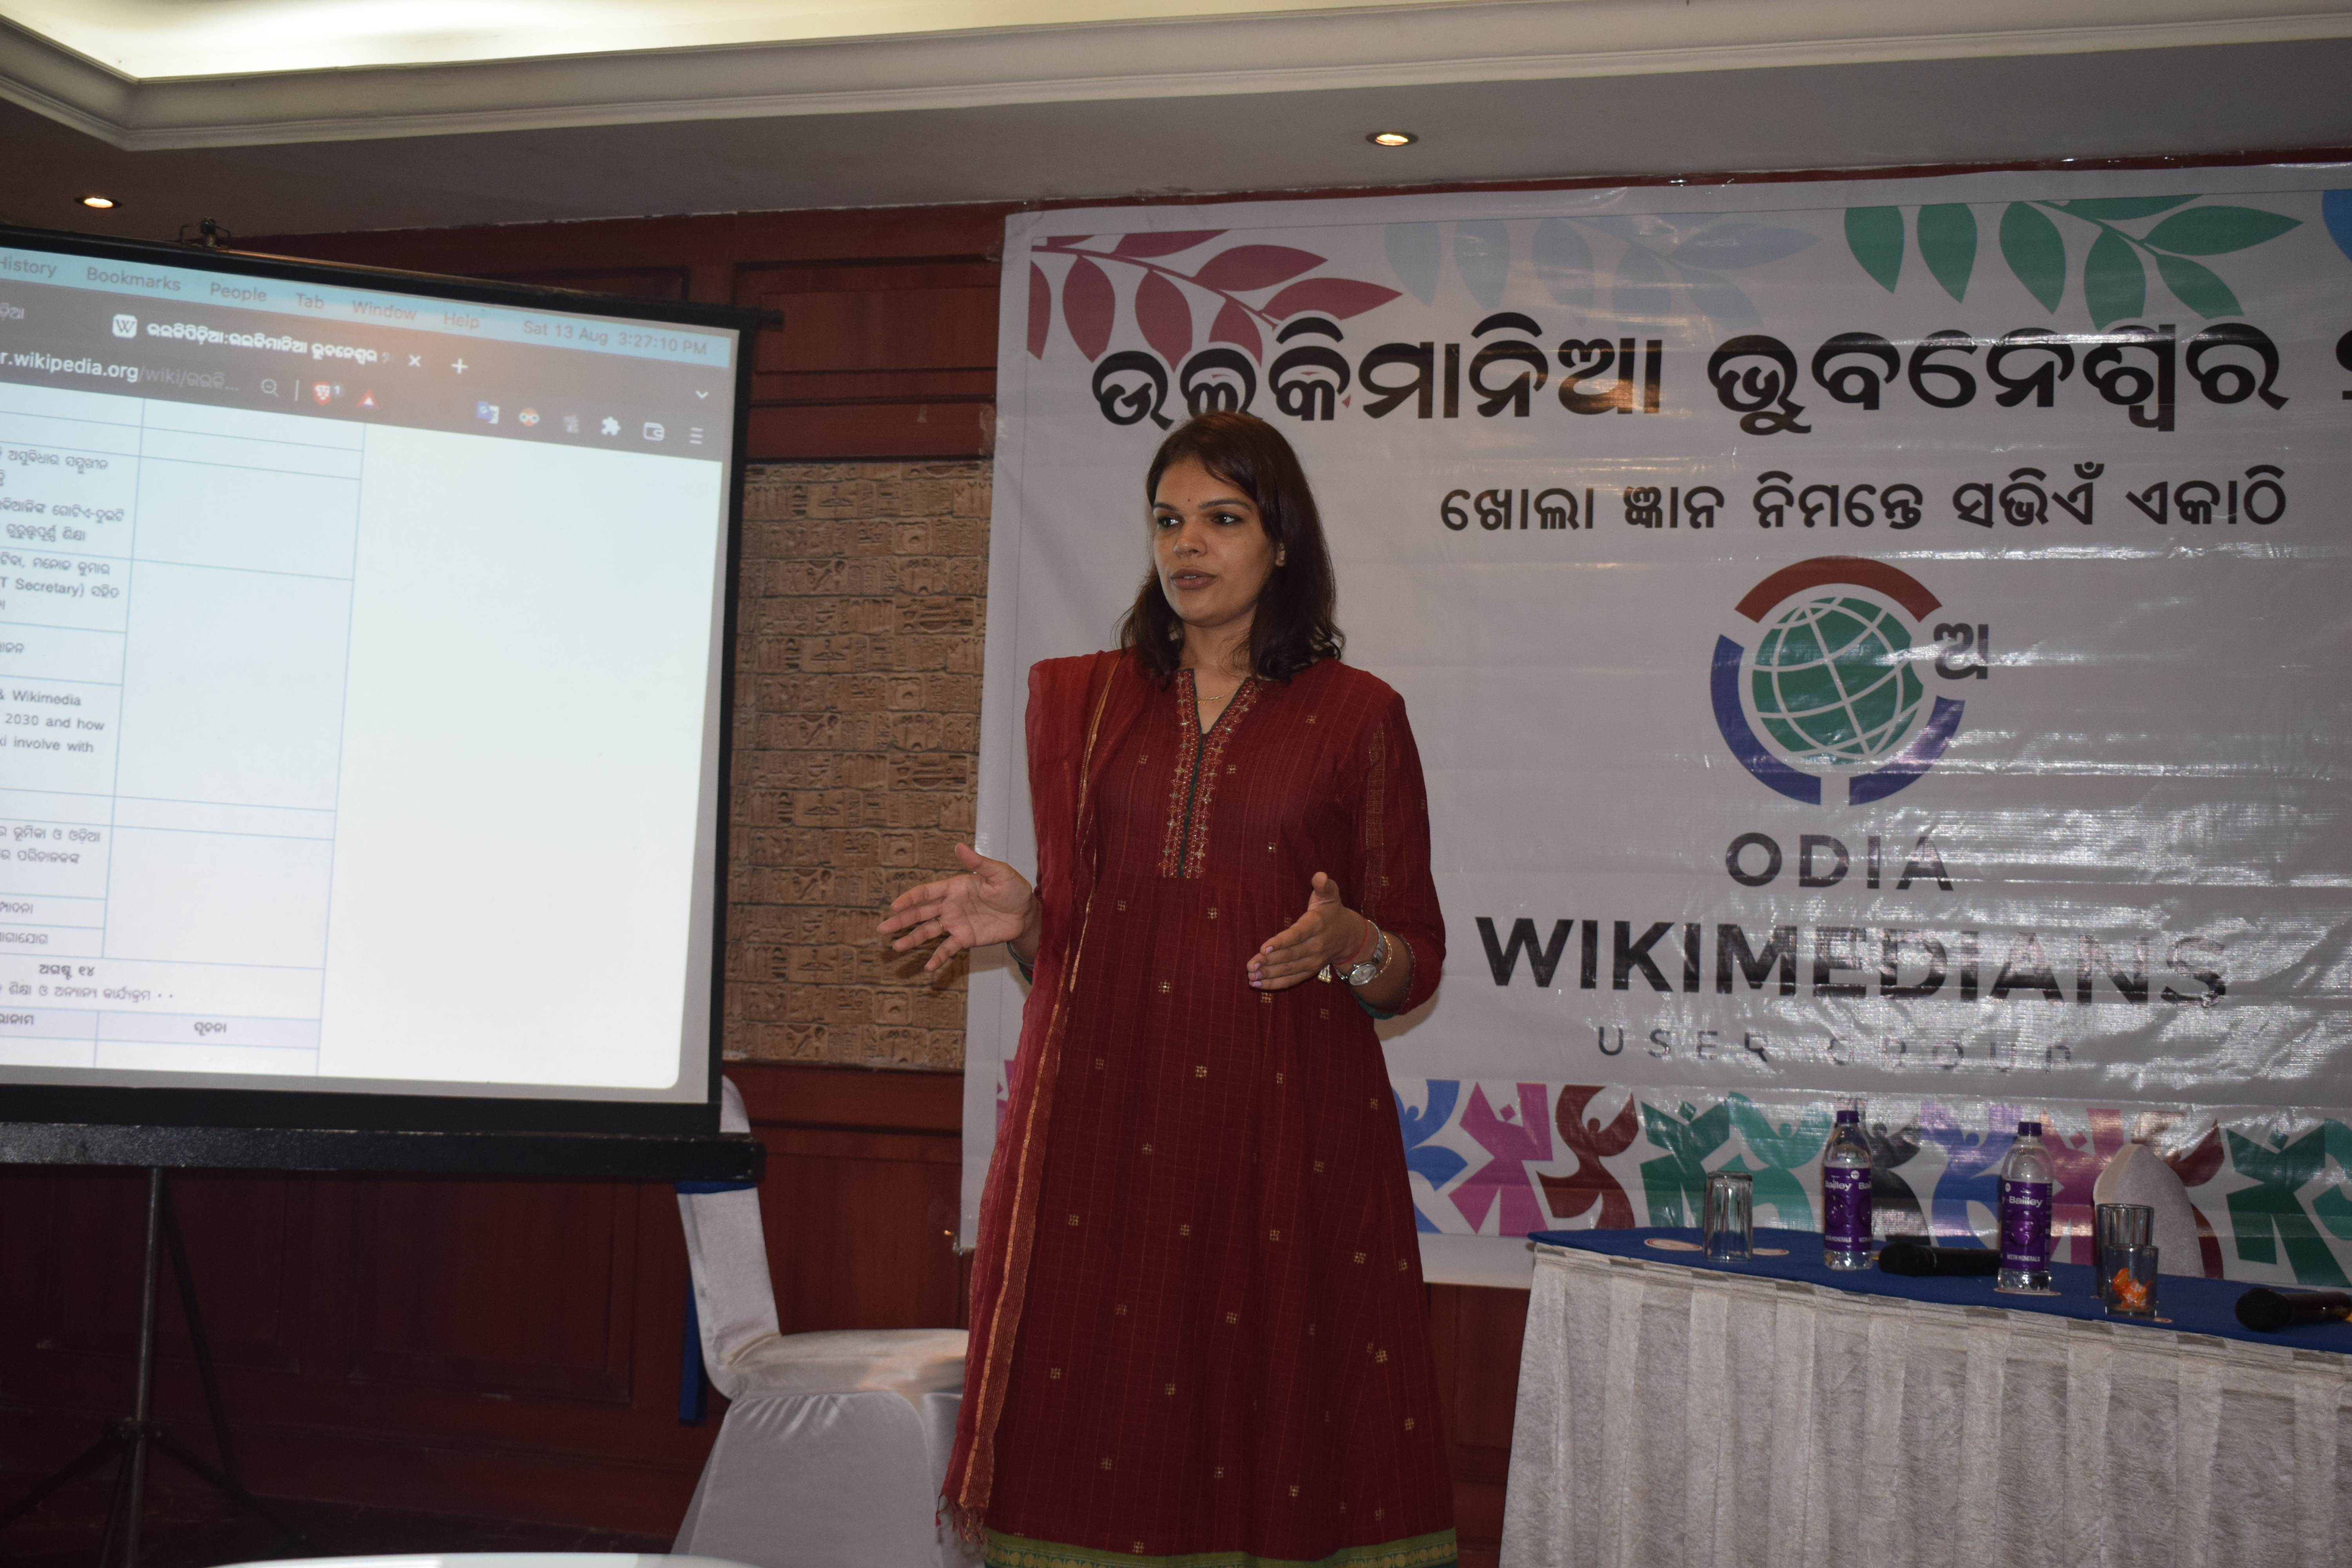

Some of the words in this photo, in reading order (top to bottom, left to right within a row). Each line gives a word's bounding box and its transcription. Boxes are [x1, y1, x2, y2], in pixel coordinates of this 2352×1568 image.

[80, 262, 190, 298] Bookmarks
[135, 313, 232, 350] ଉଇକିଠିନିଆ:
[207, 280, 274, 307] People
[223, 326, 315, 357] ଉଇକିମାନିଆ
[291, 289, 331, 313] Tab
[307, 337, 383, 368] ଭୁବନେଶ୍ବର
[349, 296, 422, 322] Window
[439, 310, 488, 333] Help
[517, 315, 553, 341] Sat
[551, 320, 615, 347] 13Aug
[609, 327, 713, 363] 3:27:10PM
[1084, 297, 1668, 438] ଉଇକିମାନିଆ
[1693, 319, 2293, 437] ଭୁବନେଶ୍ବର
[5, 444, 67, 471] ଅସୁବିଧାର
[47, 502, 127, 527] ଗୋଟିଏ-ଦୁଇଟି
[1436, 484, 1599, 535] ଖୋଲା
[1620, 478, 1729, 535] ଜ୍ଞାନ
[1746, 461, 1930, 533] ନିମନ୍ତେ
[1949, 458, 2107, 531] ସଭିଏଁ
[2123, 459, 2293, 532] ଏକାଠି
[9, 575, 85, 601] Secretary)
[6, 687, 85, 713] Wikimedia
[0, 710, 46, 731] 2030
[43, 715, 76, 733] and
[74, 716, 113, 735] how
[9, 731, 66, 753] involve
[60, 730, 100, 756] with
[48, 820, 74, 852] ଓ
[65, 824, 104, 848] ଓତ଼ିଥା
[10, 842, 84, 868] ପରିଚାଳକଙ୍କ
[1722, 826, 1958, 895] ODIA
[31, 957, 100, 985] ଅଗଷ୍ଟ ୧୪
[1470, 913, 2232, 1014] WIKIMEDIANS
[1595, 1017, 1773, 1063] USER
[1820, 1025, 2079, 1073] GROUP